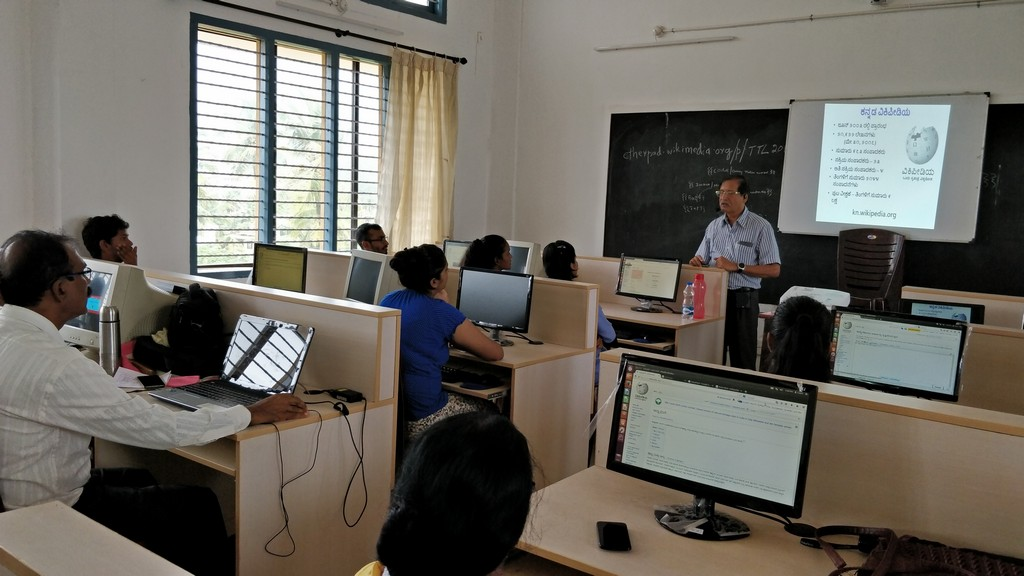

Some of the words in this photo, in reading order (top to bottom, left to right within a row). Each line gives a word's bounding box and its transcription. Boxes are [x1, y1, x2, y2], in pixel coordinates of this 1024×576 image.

[853, 97, 884, 121] ಕನ್ನಡವಿ
[876, 99, 915, 121] ಎಕಿಪೀಡಿಯ
[617, 141, 669, 165] etherped
[663, 139, 719, 161] wikimedia
[707, 131, 783, 165] org/p/TTL20
[897, 162, 939, 179] ವಿಕಿಪೀಡಿಯ
[847, 205, 900, 223] kn.wikipedia.org